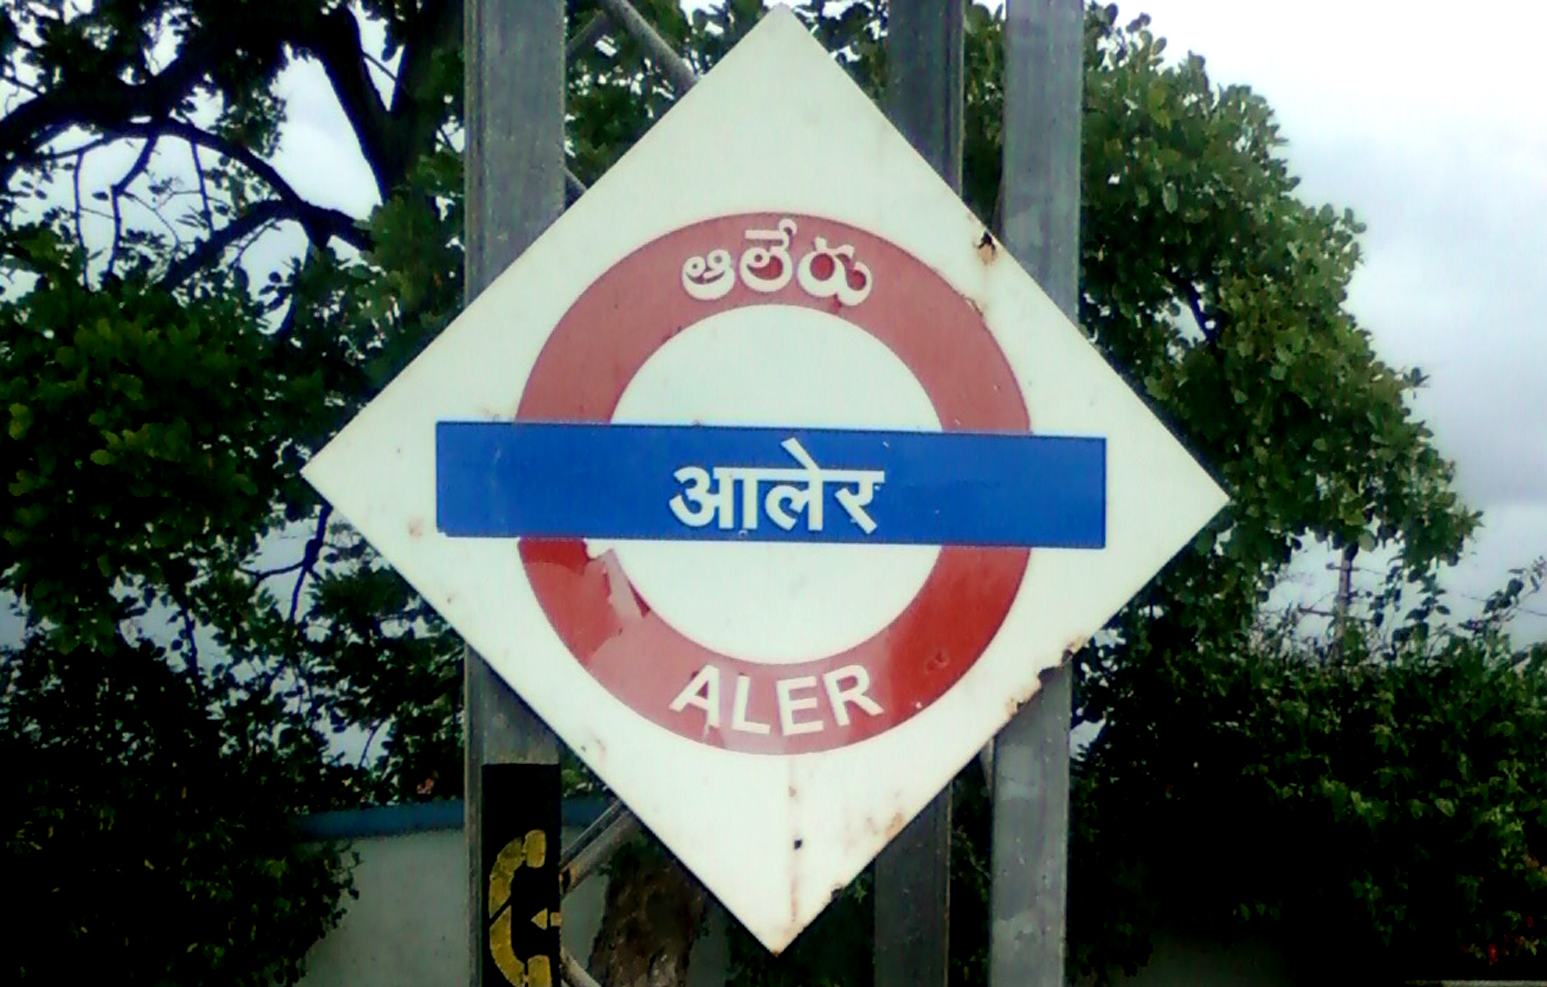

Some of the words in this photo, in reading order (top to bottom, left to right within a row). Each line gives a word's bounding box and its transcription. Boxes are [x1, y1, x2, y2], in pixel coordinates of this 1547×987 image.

[675, 207, 881, 315] ఆలేరు
[667, 432, 892, 538] आलेर
[662, 656, 891, 740] ALER